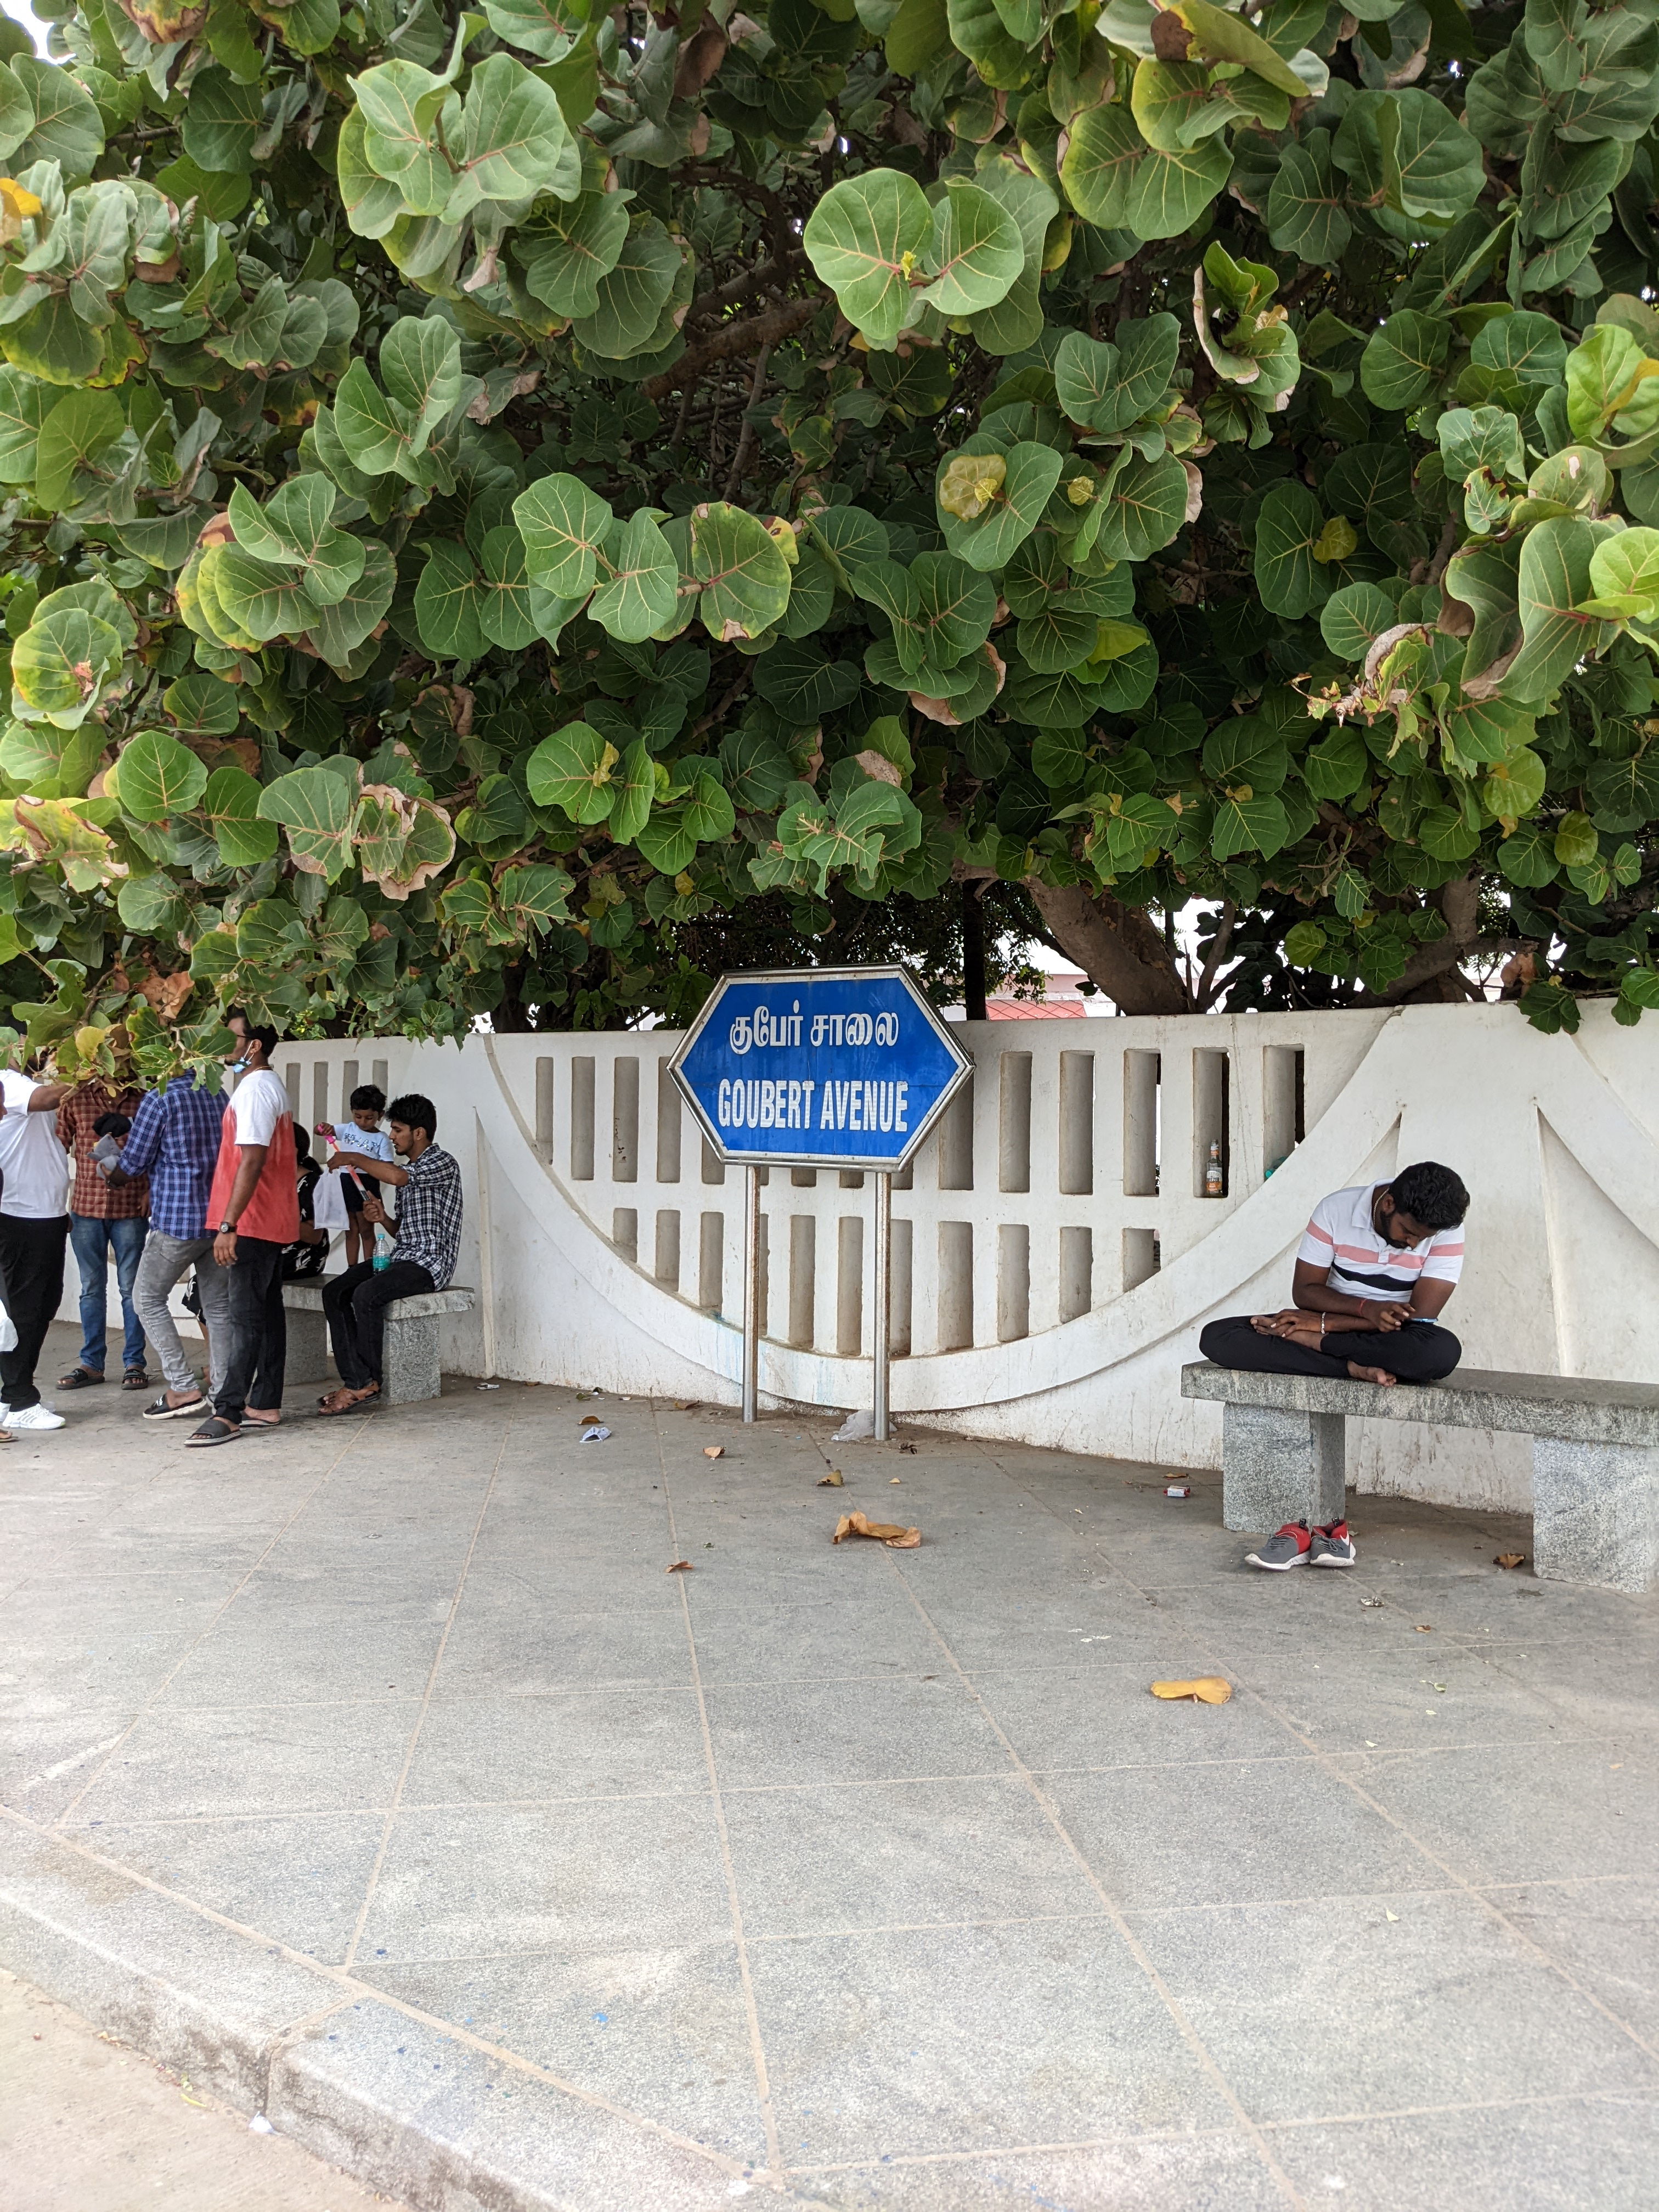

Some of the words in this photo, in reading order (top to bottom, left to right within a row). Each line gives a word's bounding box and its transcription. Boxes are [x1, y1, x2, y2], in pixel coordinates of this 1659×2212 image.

[726, 998, 806, 1056] தபோ்
[808, 1009, 902, 1051] சாலை
[714, 1074, 817, 1130] GOUBERT
[820, 1077, 912, 1135] AVENUE